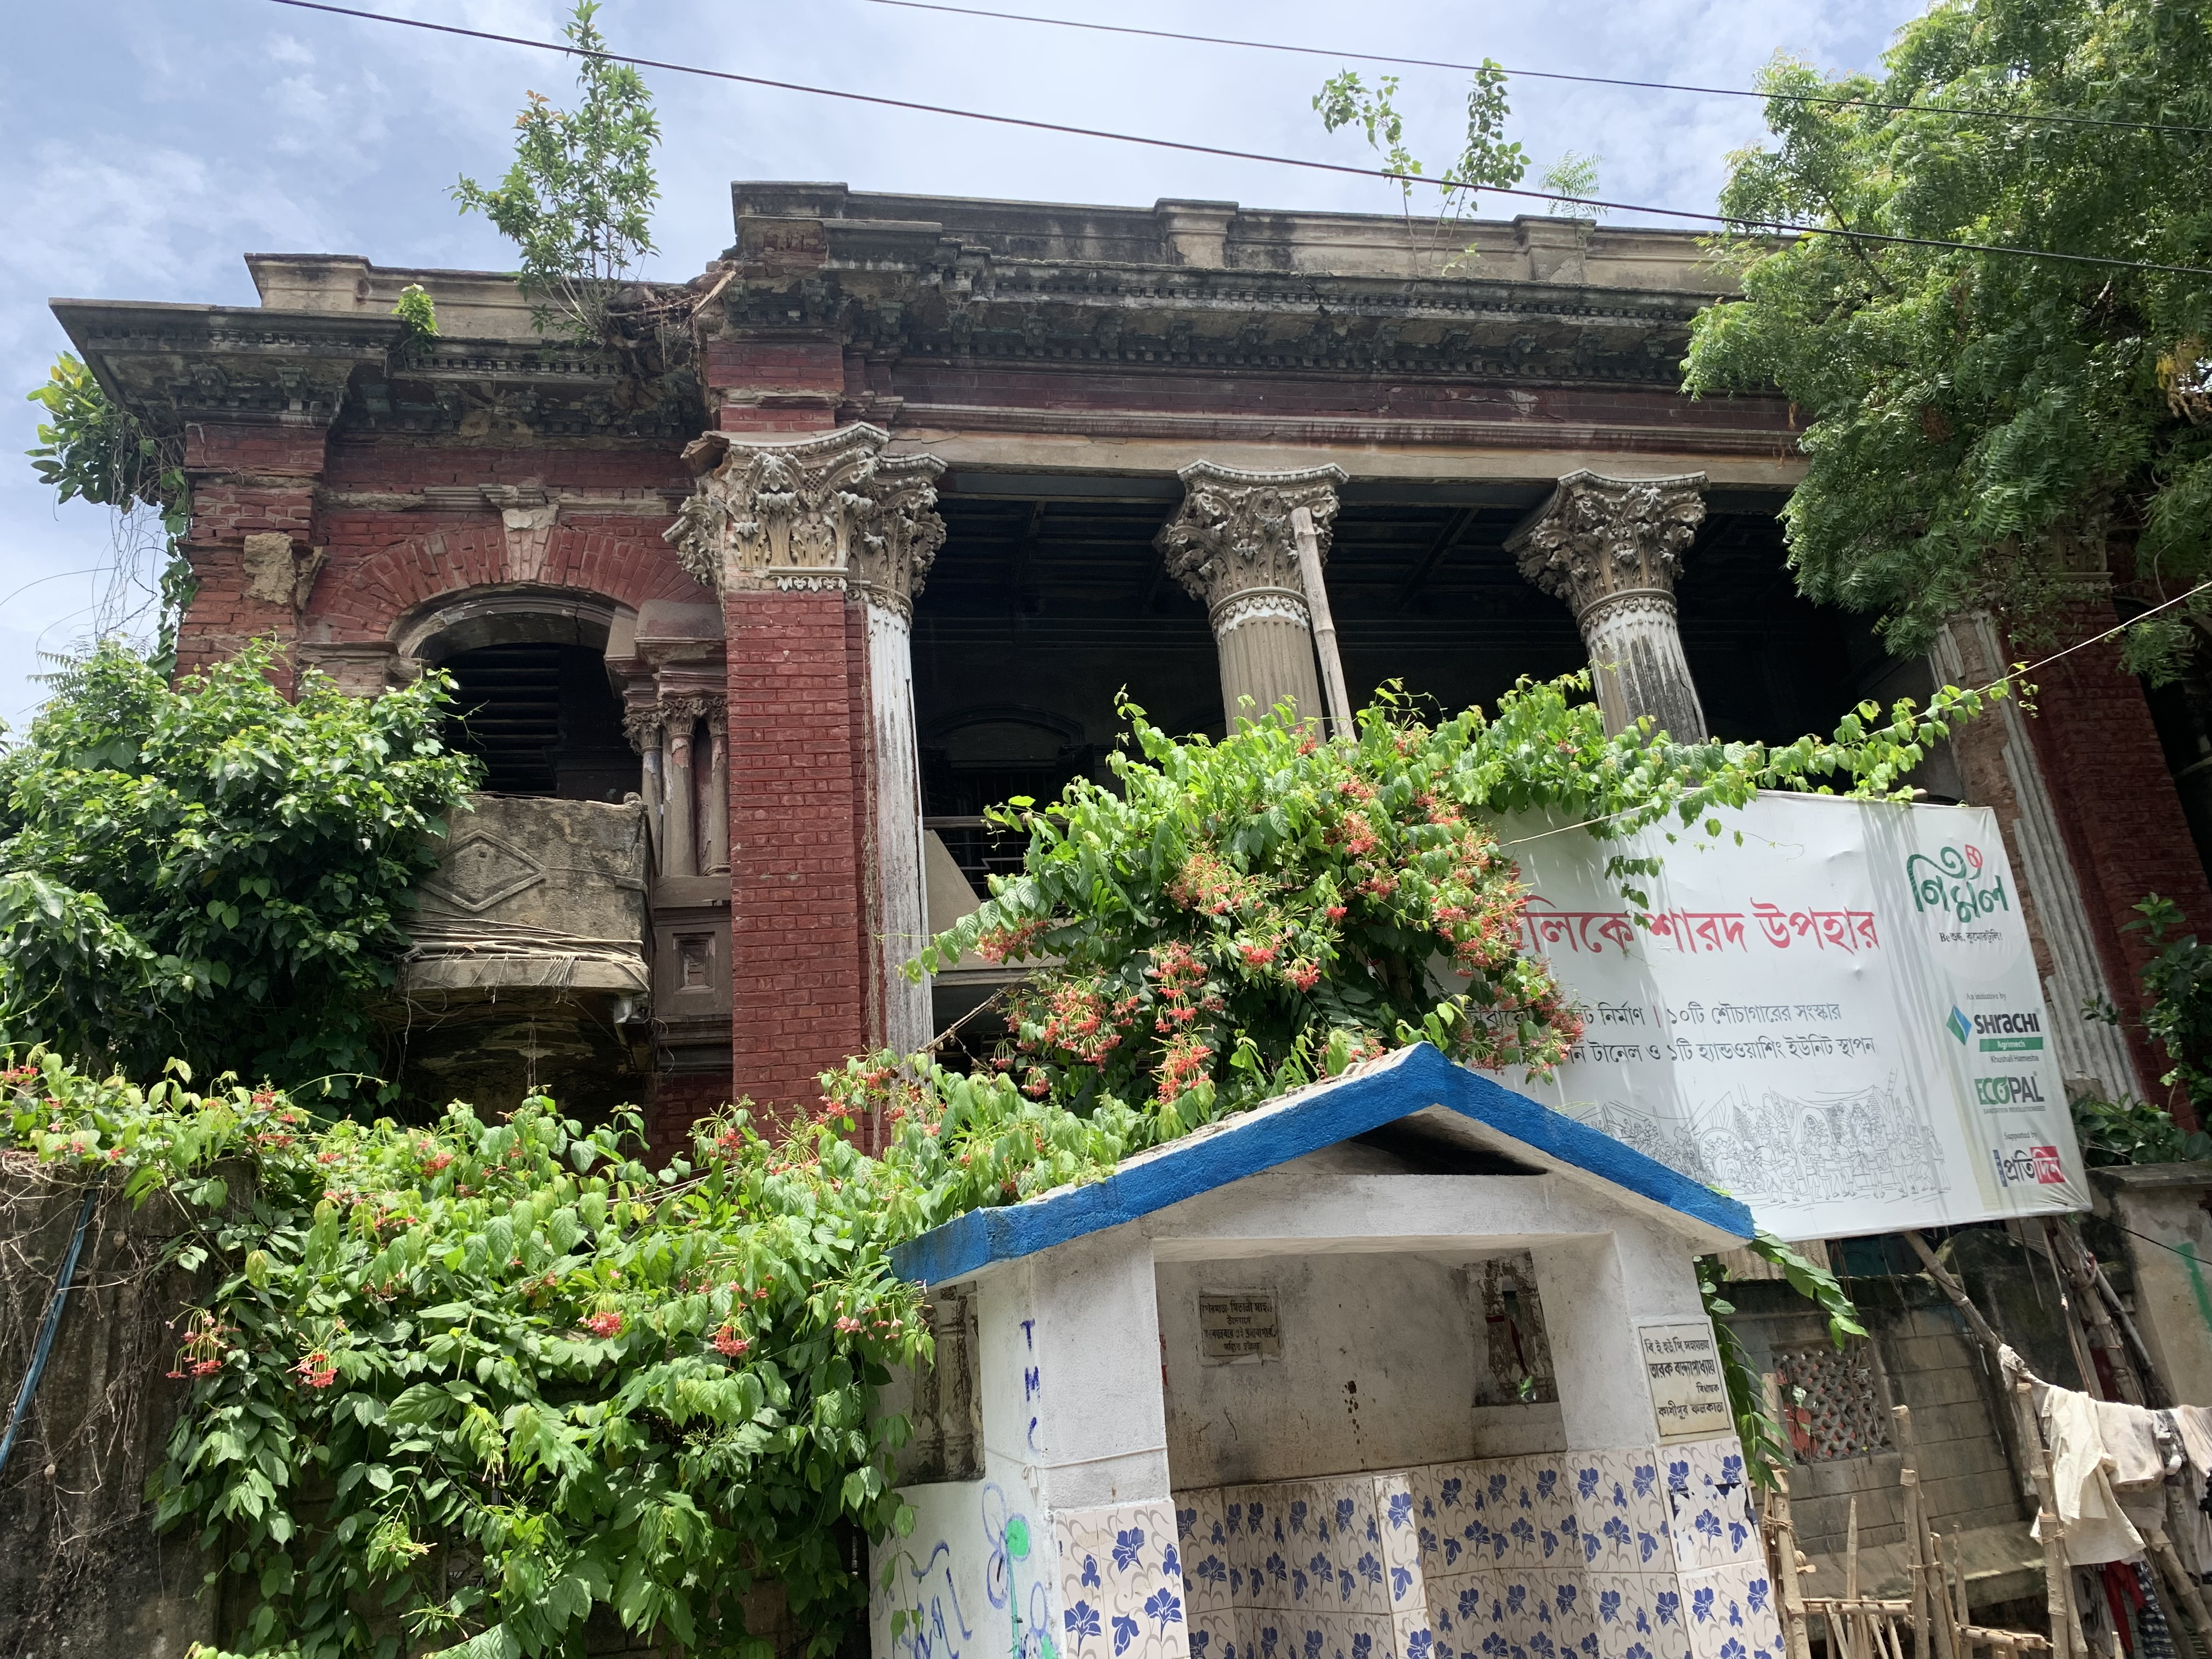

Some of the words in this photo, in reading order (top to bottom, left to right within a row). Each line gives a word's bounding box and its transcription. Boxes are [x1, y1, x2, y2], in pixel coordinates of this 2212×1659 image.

[1508, 887, 1642, 956] লিকে
[1630, 899, 1751, 956] শারদ
[1746, 890, 1880, 958] উপহার
[1963, 927, 2005, 945] কুমোরটুলি !
[1960, 988, 1977, 1003] As
[1971, 990, 2001, 1002] initistive
[1998, 991, 2008, 1002] by
[1593, 994, 1647, 1030] নির্মাণ
[1664, 994, 1710, 1026] ১০টি
[1703, 996, 1793, 1028] শৌচাগারের
[1789, 997, 1846, 1025] সংস্কার
[1972, 1006, 2045, 1036] SHraCHI
[1583, 1032, 1647, 1065] টানেল
[1644, 1040, 1664, 1064] ও
[1658, 1032, 1698, 1066] ১টি
[1692, 1034, 1790, 1062] হ্যান্ডওয়াশিং
[1776, 1028, 1837, 1062] ইউনিট
[1836, 1032, 1876, 1062] স্থাপন
[1988, 1050, 2017, 1065] Khushall
[1993, 1035, 2028, 1051] Agrimech
[2012, 1052, 2042, 1064] Hamesha
[1970, 1071, 2047, 1106] ECOPAL
[1999, 1126, 2034, 1142] Supported
[1999, 1145, 2066, 1186] প্রতিদিন
[1198, 1296, 1232, 1318] গৌরমাতা-
[1222, 1311, 1255, 1327] উদ্যোগে
[1225, 1291, 1272, 1316] মিতালী সহ
[1205, 1325, 1237, 1341] কলেবরে
[1242, 1324, 1276, 1342] প্রসাবাপা.র.
[1640, 1334, 1688, 1357] বি,ই,হউ,পি,
[1681, 1336, 1712, 1355] সহায়তায়
[1644, 1361, 1675, 1382] তারক
[1672, 1357, 1719, 1380] বন্দ্যোপাধ্যায়
[1691, 1375, 1722, 1396] বিধাযক
[1652, 1396, 1691, 1424] কাশীপুর
[1687, 1398, 1725, 1416] কলকাতা